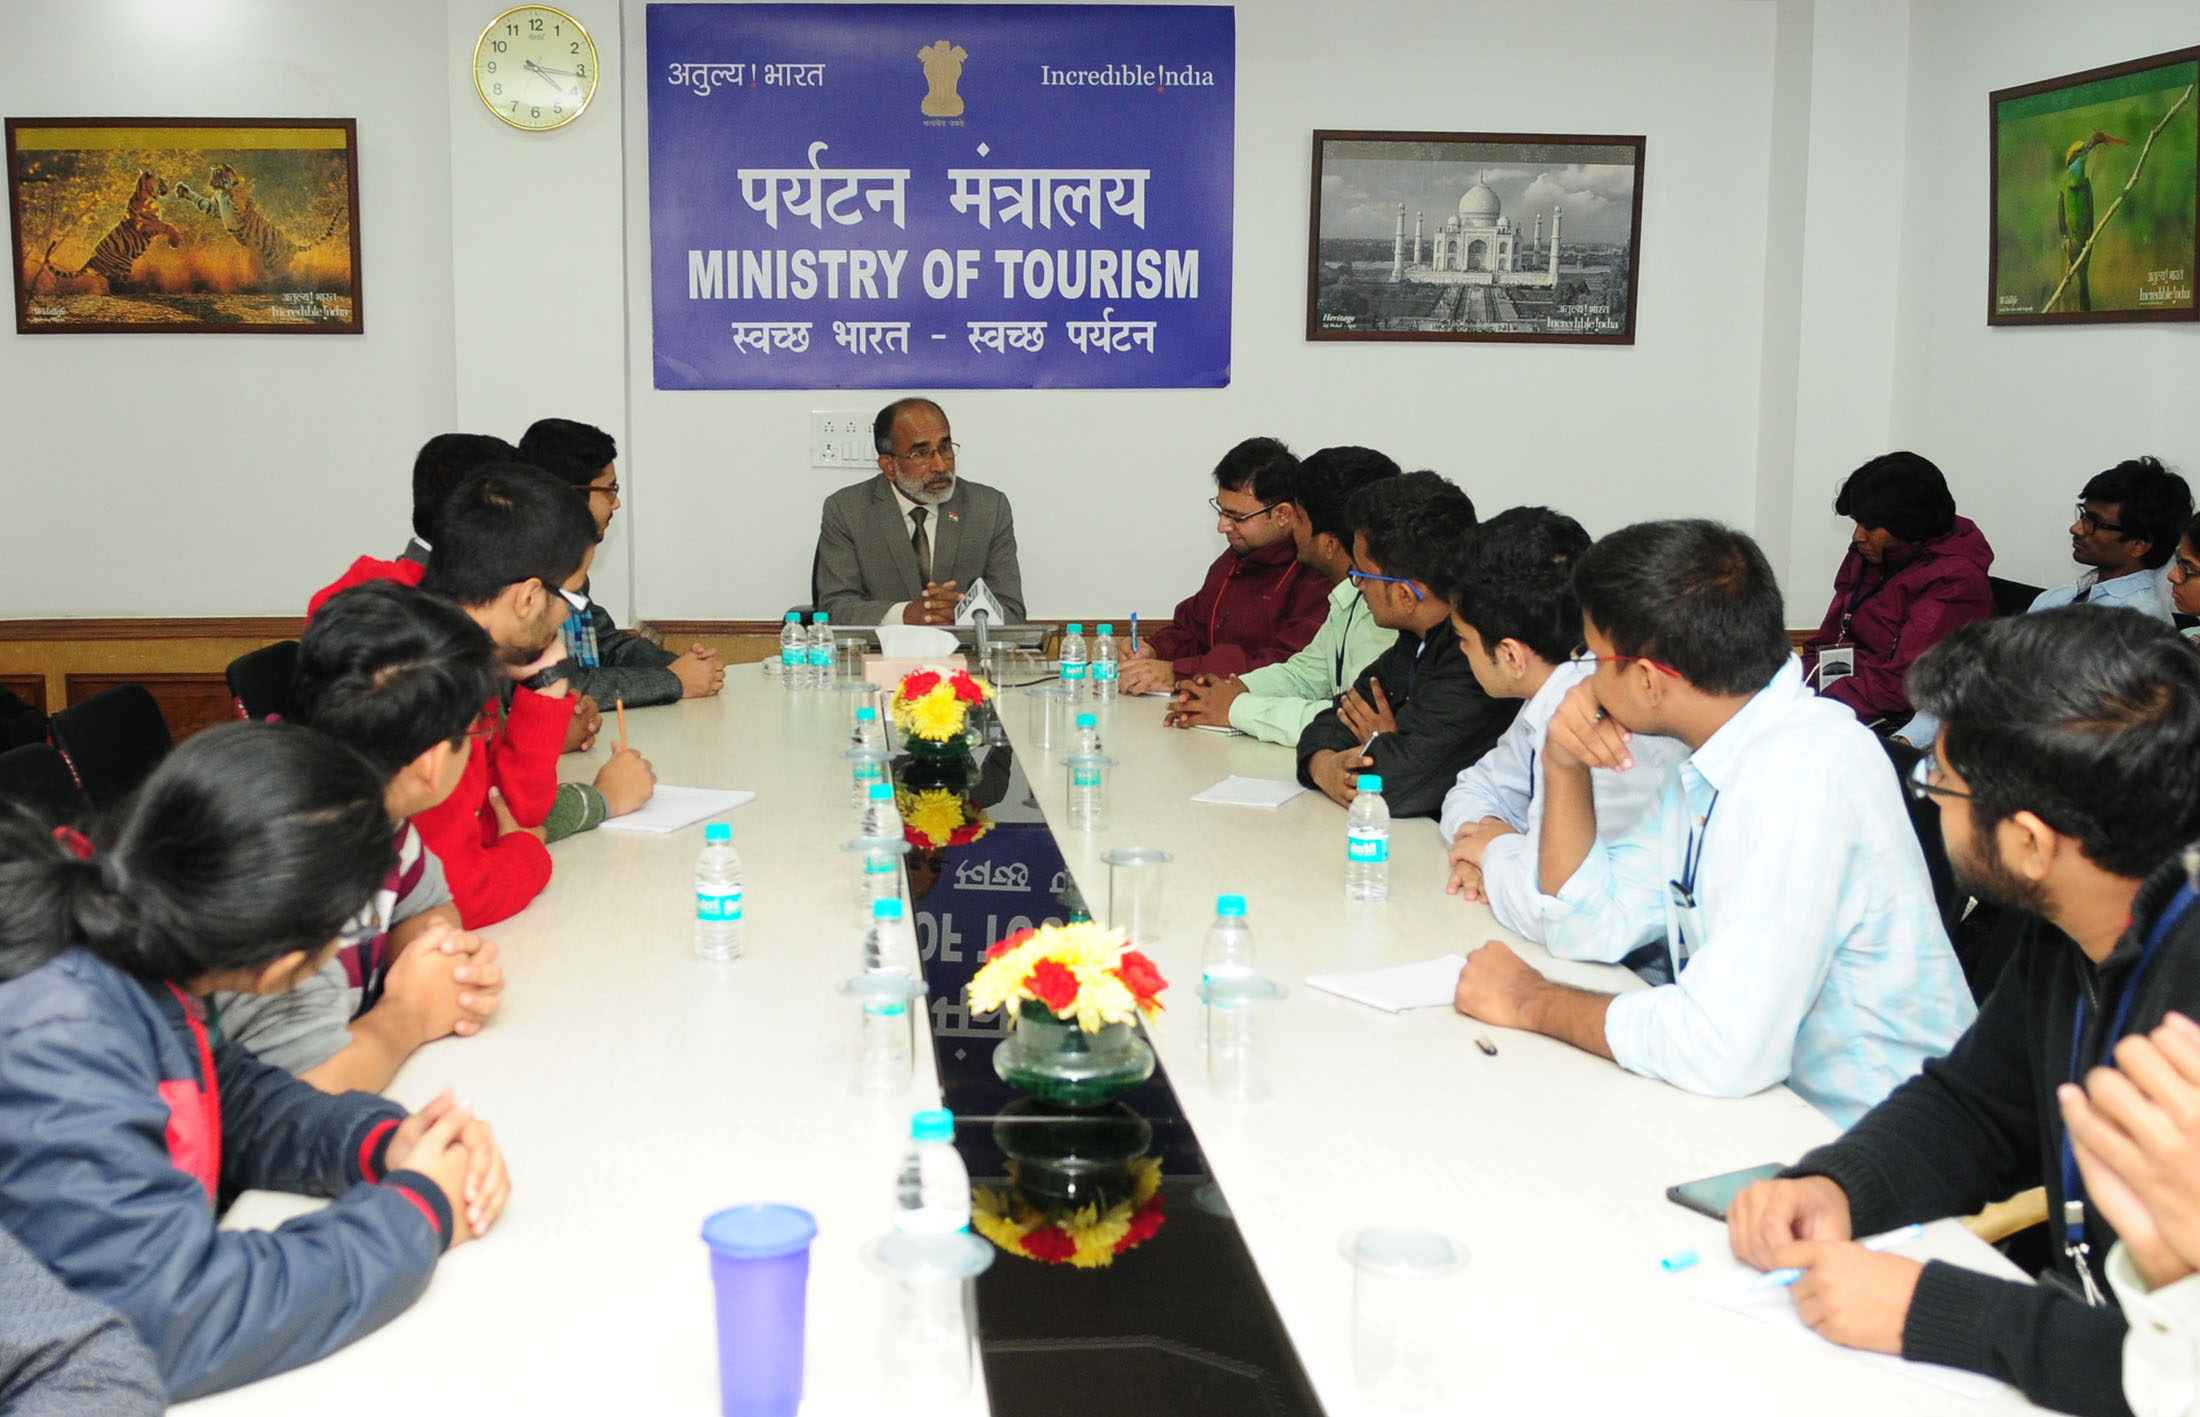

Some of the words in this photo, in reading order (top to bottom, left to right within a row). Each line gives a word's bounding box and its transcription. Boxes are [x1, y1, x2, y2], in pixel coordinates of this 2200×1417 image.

[658, 51, 749, 102] अतुल्य
[756, 57, 829, 92] भारत
[1036, 54, 1163, 93] Incredible
[1159, 57, 1215, 92] ndia
[735, 134, 917, 234] पर्यटन
[941, 137, 1155, 237] मंत्रालय
[684, 243, 913, 305] MINISTRY
[911, 239, 991, 310] OF
[987, 242, 1203, 307] TOURISM
[729, 315, 819, 360] स्वच्छ
[827, 317, 912, 357] भारत
[965, 315, 1051, 357] स्वच्छ
[1063, 302, 1161, 362] पर्यटन
[938, 848, 1035, 900] स्वच्छ